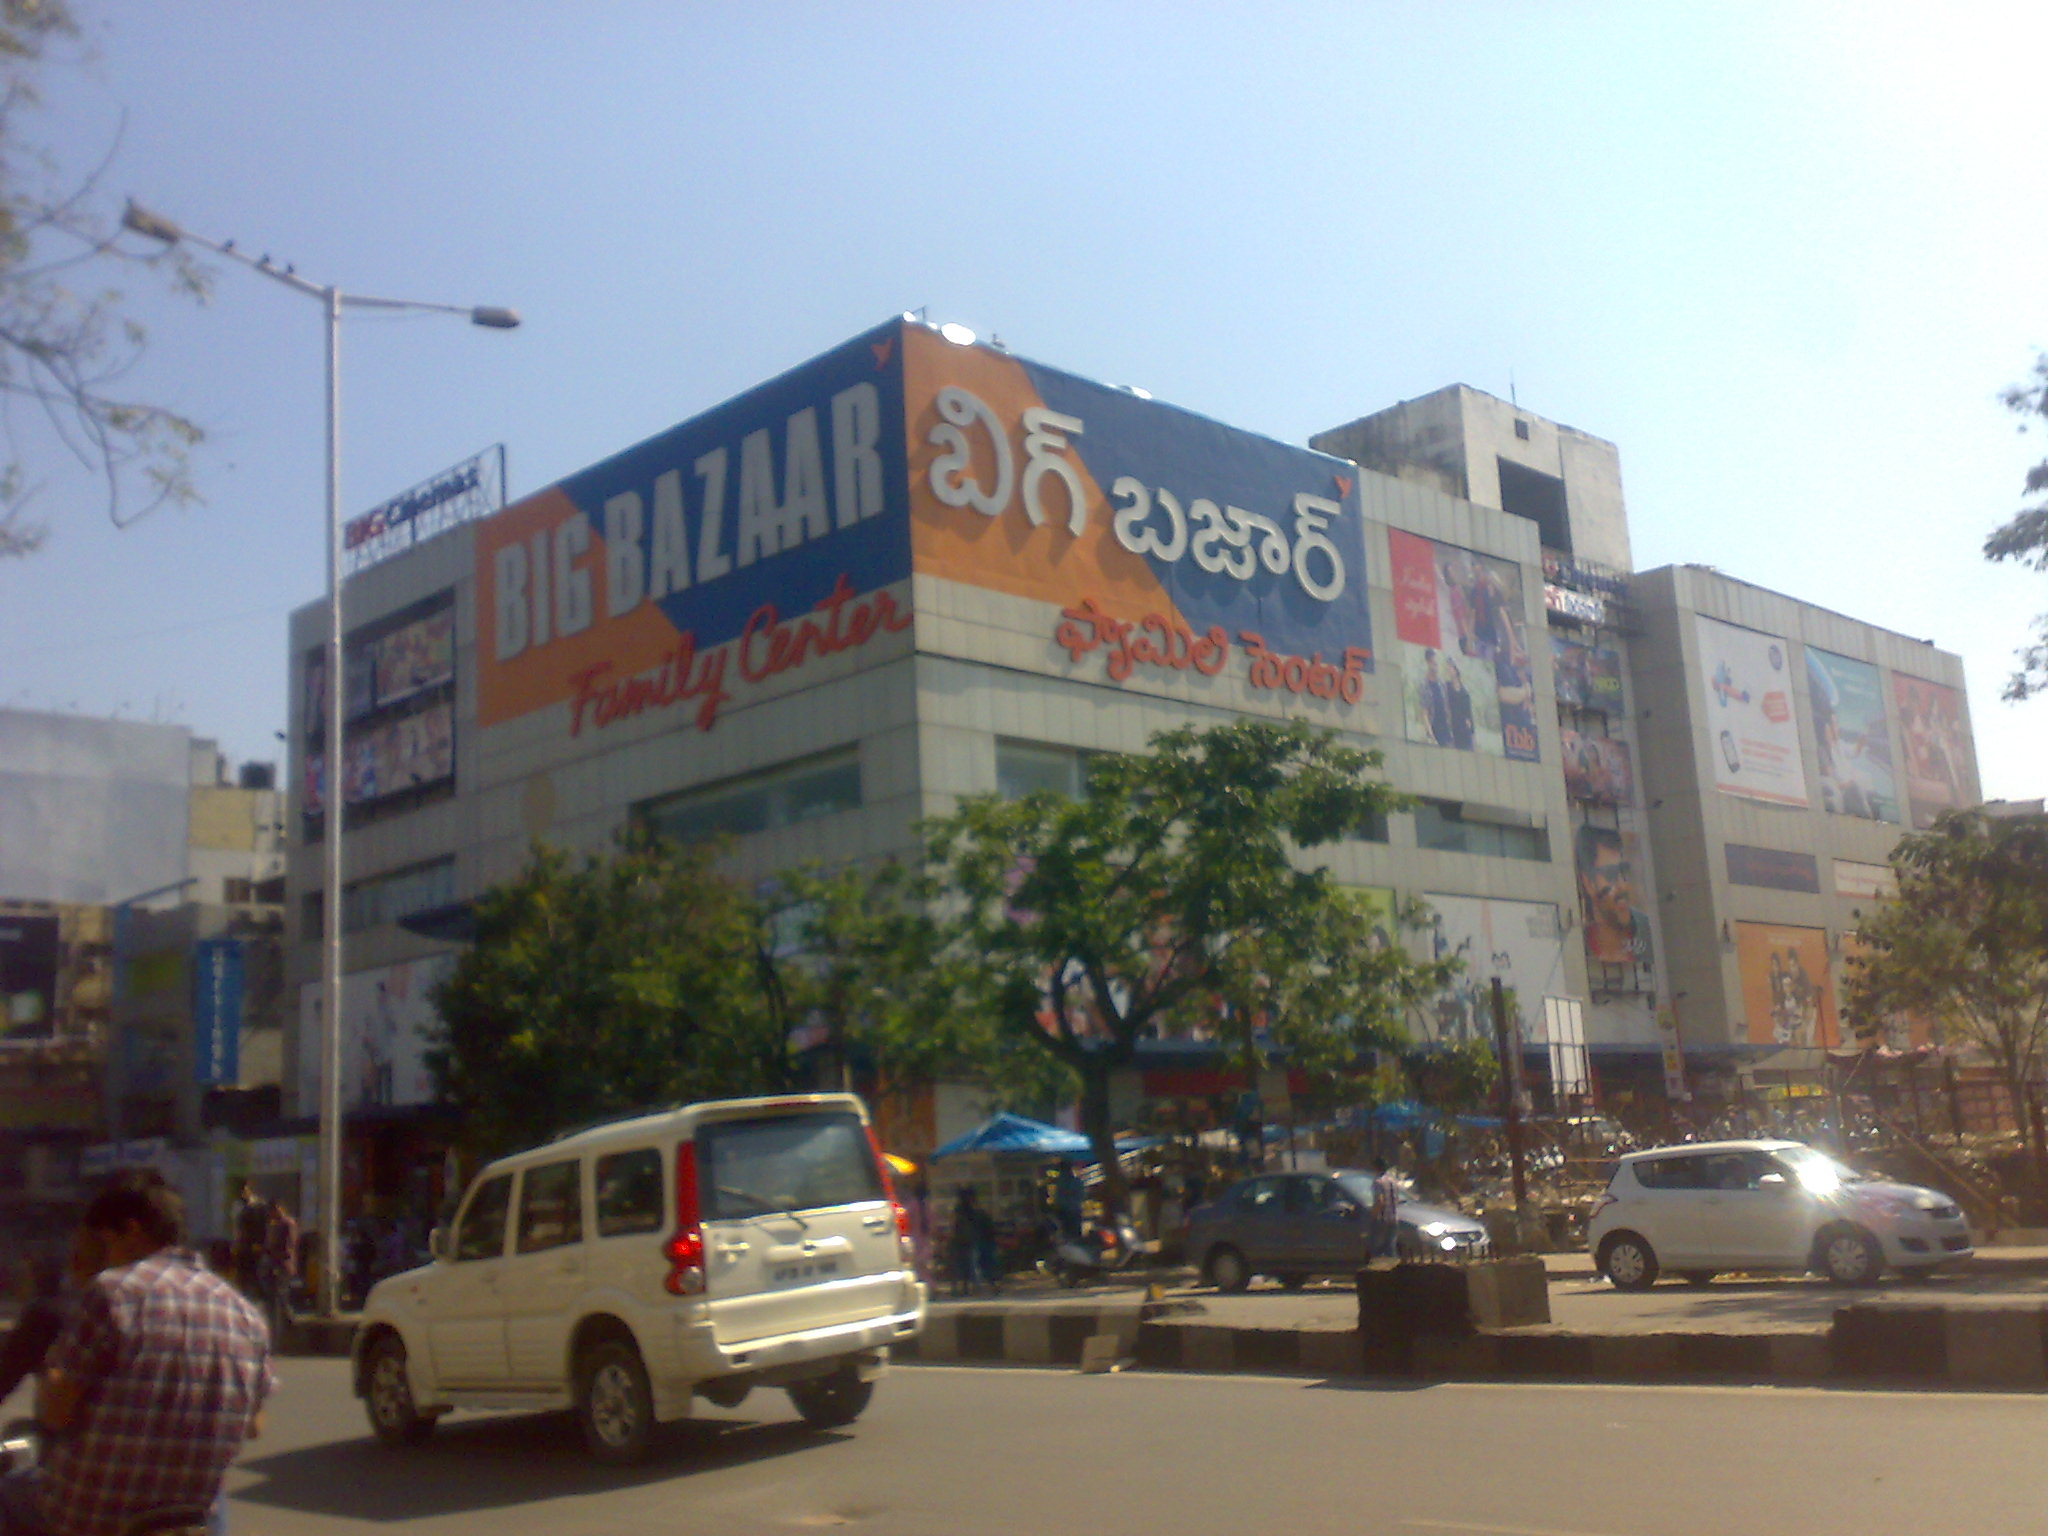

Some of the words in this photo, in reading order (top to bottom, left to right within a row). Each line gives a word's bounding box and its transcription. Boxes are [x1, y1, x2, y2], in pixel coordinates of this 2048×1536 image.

[487, 503, 598, 665] BIG
[562, 622, 737, 743] Family
[595, 374, 889, 623] BAZAAR
[731, 562, 922, 693] Center
[918, 367, 1094, 540] బిర్
[1049, 591, 1235, 690] ఫ్యామిలీ
[1102, 467, 1352, 606] బజార్
[1236, 624, 1373, 711] సెంటర్